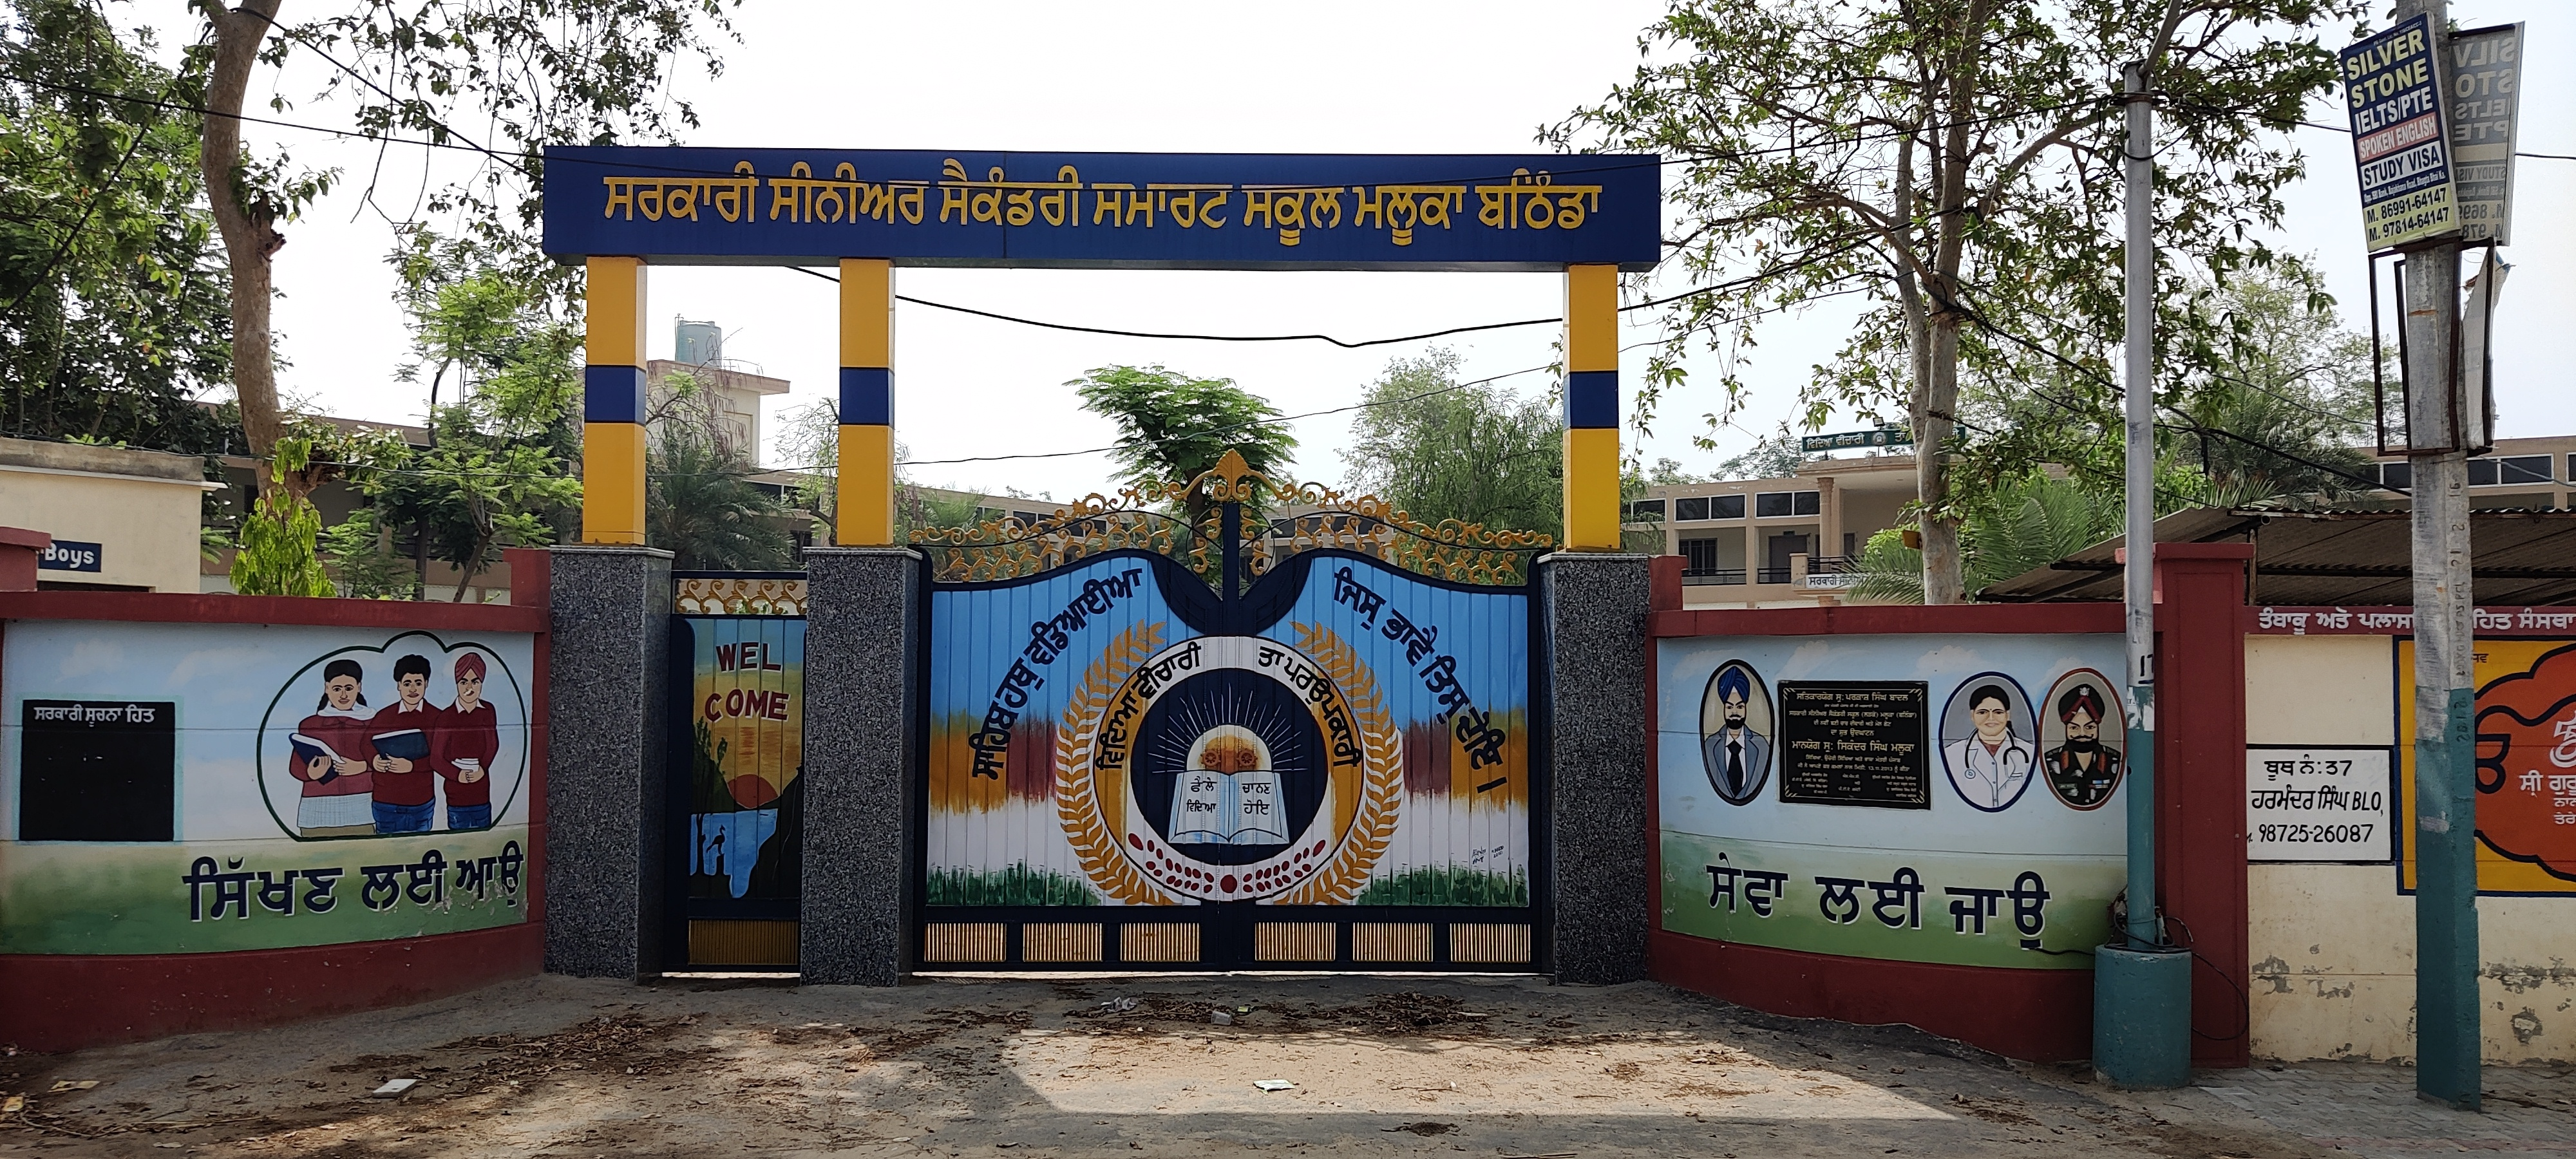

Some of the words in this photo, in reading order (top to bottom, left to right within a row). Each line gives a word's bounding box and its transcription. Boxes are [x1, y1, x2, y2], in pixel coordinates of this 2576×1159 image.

[596, 156, 764, 231] ਸਰਕਾਰੀ
[761, 156, 934, 232] ਸੀਨੀਅਰ
[929, 151, 1088, 231] ਸੈਕੰਡਰੀ
[1086, 172, 1236, 240] ਸਮਾਰਟ
[1235, 176, 1349, 252] ਸਕੂਲ
[1347, 180, 1473, 254] ਮਲੂਕਾ
[1472, 165, 1609, 240] ਬਠਿੰਡਾ
[1804, 433, 1834, 450] ਵਿਦਿਆ
[1833, 431, 1868, 448] ਵੀਚਾਰੀ
[41, 540, 98, 570] Boys
[1805, 573, 1837, 589] ਸਰਕਾਰੀ
[1325, 560, 1391, 636] ਜਿਸੁ
[1016, 562, 1151, 675] ਵਡਿਆਈਆ
[2249, 604, 2313, 635] ਤੰਬਾਕੂ
[2310, 605, 2356, 632] ਅਤੋ
[2353, 604, 2414, 634] ਪਲਾਸ
[2472, 604, 2515, 636] ਹਿਤ
[2514, 604, 2575, 635] ਸੰਸਥਾ
[1371, 604, 1443, 672] ਭਾਵੈ
[30, 702, 84, 724] ਸਰਕਾਰੀ
[84, 702, 125, 729] ਸੂਰਨਾ
[124, 702, 160, 726] ਹਿਤ
[710, 638, 786, 677] WEL
[700, 683, 797, 726] COME
[958, 690, 1026, 791] ਸਾਹਿਬ
[988, 648, 1053, 712] ਹਥੁ
[1092, 681, 1146, 775] ਵਿਦਿਆ
[1125, 637, 1207, 710] ਵੀਚਾਰੀ
[1184, 796, 1220, 815] ਵਿਦਿਆ
[1188, 774, 1218, 796] ਫੇਲੇ
[1238, 796, 1272, 820] ਹੋਇ
[1239, 780, 1273, 797] ਚਾਨਣ
[1252, 641, 1289, 675] ਤਾ
[1279, 650, 1365, 771] ਪਰਉਪਕਾਰੀ
[1412, 648, 1476, 729] ਤਿਸੁ
[1447, 700, 1515, 778] ਦੇਇ
[1788, 736, 1823, 751] ਮਾਨਯੋਗ
[1793, 689, 1835, 702] ਸਤਿਕਾਰਯੋਗ
[1821, 739, 1835, 754] ਸੁ:
[1834, 690, 1845, 703] ਸ੍ਰ:
[1835, 737, 1868, 753] ਸਿਕੰਦਰ
[1844, 690, 1872, 702] ਪਰਕ਼ਾਰ
[1868, 736, 1890, 753] ਸਿੰਘ
[1870, 688, 1889, 703] ਸਿੰਘ
[1889, 690, 1911, 702] ਬਾਦਲ
[1889, 740, 1918, 757] ਮਲੂਕਾ
[2255, 749, 2298, 784] ਥੂਥ
[2249, 780, 2318, 815] ਹਰਮੰਦਰ
[2296, 747, 2318, 780] ਨੰ
[2255, 817, 2378, 852] 98725-26087
[2314, 779, 2352, 817] ਸਿੰਘ
[2322, 755, 2356, 778] 37
[2349, 787, 2385, 813] BLO
[2515, 762, 2546, 800] ਸ਼ੀू
[2543, 770, 2575, 796] ਗੁ
[2549, 793, 2574, 809] ਨਾ
[2549, 809, 2574, 827] ਤੇਰੇ
[171, 850, 347, 924] ਸਿੱਖਣ
[356, 843, 452, 915] ਲਈ
[451, 834, 528, 915] ਆਉ
[1698, 840, 1799, 928] ਸੇਵਾ
[1804, 862, 1931, 939] ਲਈ
[1938, 863, 2061, 956] ਜਾਉ